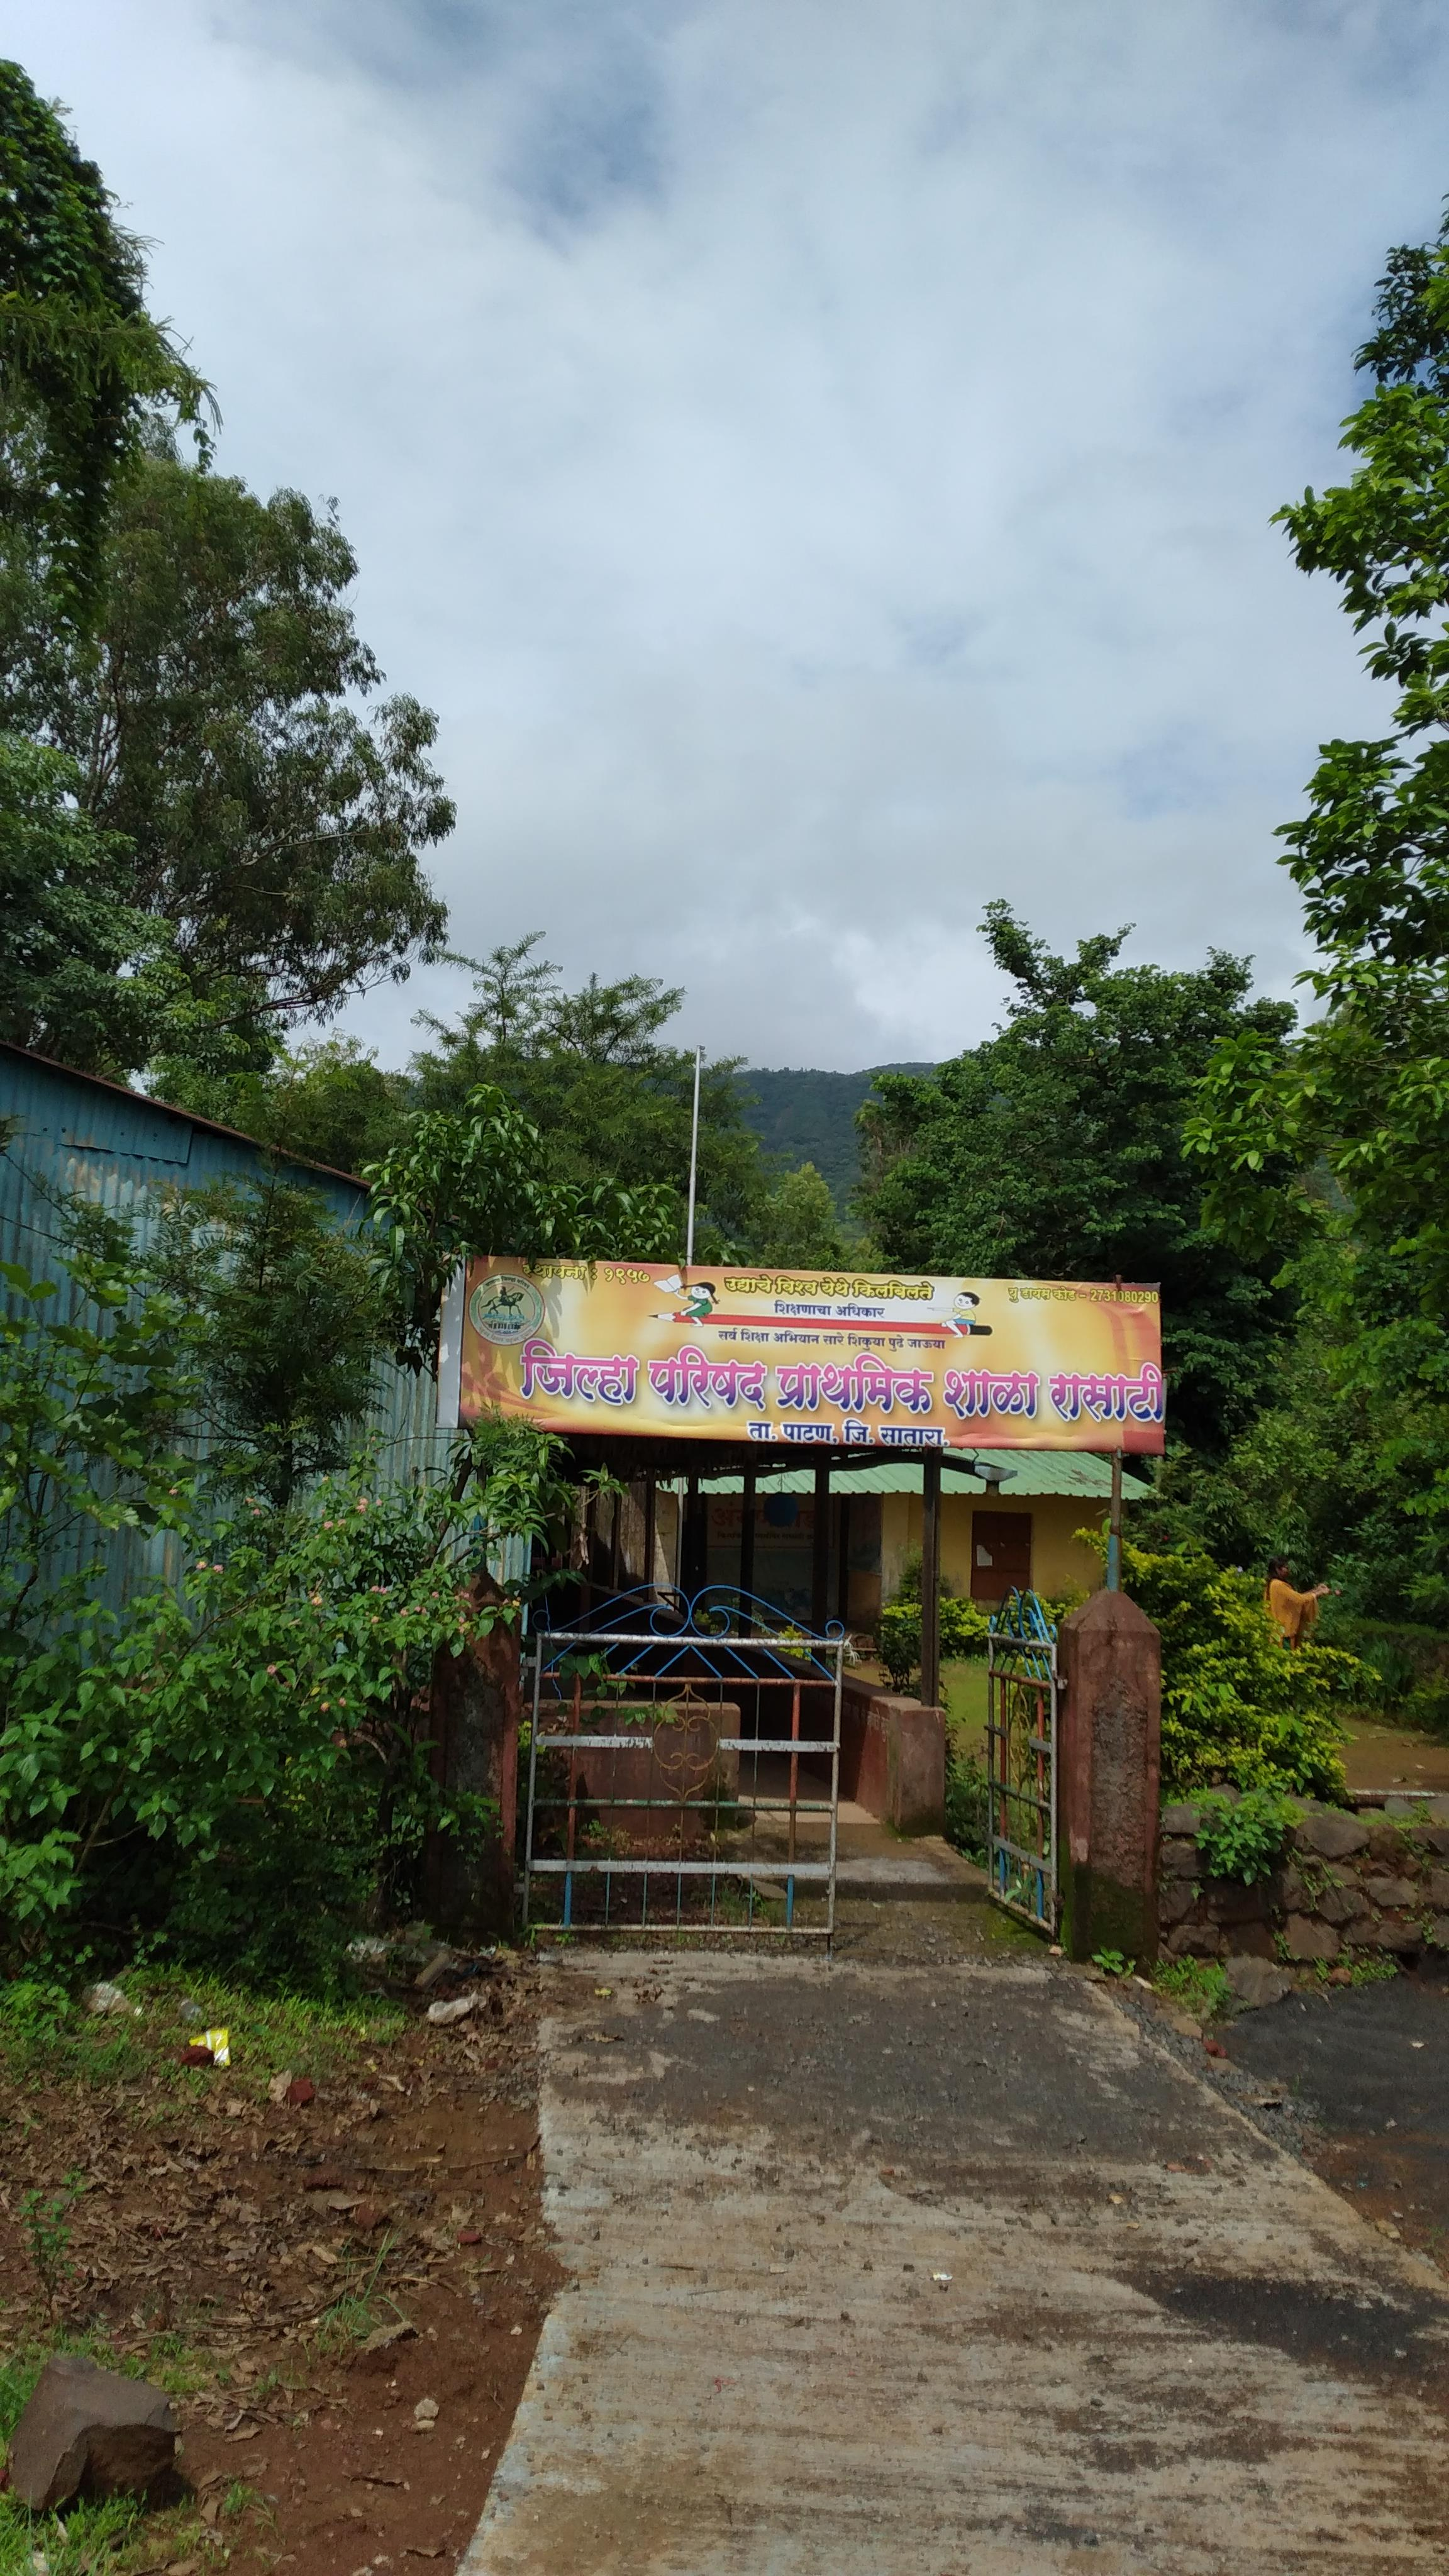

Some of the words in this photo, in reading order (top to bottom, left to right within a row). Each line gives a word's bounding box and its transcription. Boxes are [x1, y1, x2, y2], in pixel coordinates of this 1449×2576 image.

[518, 1258, 599, 1285] स्थापना:
[600, 1264, 653, 1285] १९५७
[721, 1271, 773, 1297] उद्याचे
[773, 1272, 820, 1297] विश्‍व
[771, 1296, 833, 1319] शिक्षणाचा
[819, 1274, 852, 1302] येथे
[835, 1300, 890, 1323] अधिकार
[851, 1276, 939, 1302] किलबिलते
[1005, 1284, 1020, 1307] यु
[1019, 1284, 1052, 1304] डायस
[1052, 1284, 1088, 1304] कोड-
[1087, 1287, 1158, 1307] 2731080290
[715, 1324, 740, 1344] सर्व
[738, 1325, 770, 1346] शिक्षा
[772, 1328, 821, 1346] अभियान
[821, 1331, 846, 1349] सारे
[845, 1331, 886, 1352] शिकुया
[886, 1333, 906, 1355] पुढे
[906, 1335, 948, 1350] जाऊया
[507, 1335, 644, 1409] जिल्हा
[643, 1338, 774, 1414] परिषद
[772, 1351, 938, 1421] प्राथमिक
[938, 1365, 1045, 1424] शाळा
[1046, 1357, 1165, 1431] रासाटी
[741, 1418, 779, 1441] ता.
[779, 1418, 841, 1445] पाटण,
[840, 1416, 877, 1445] जि.
[875, 1421, 955, 1447] सातारा.